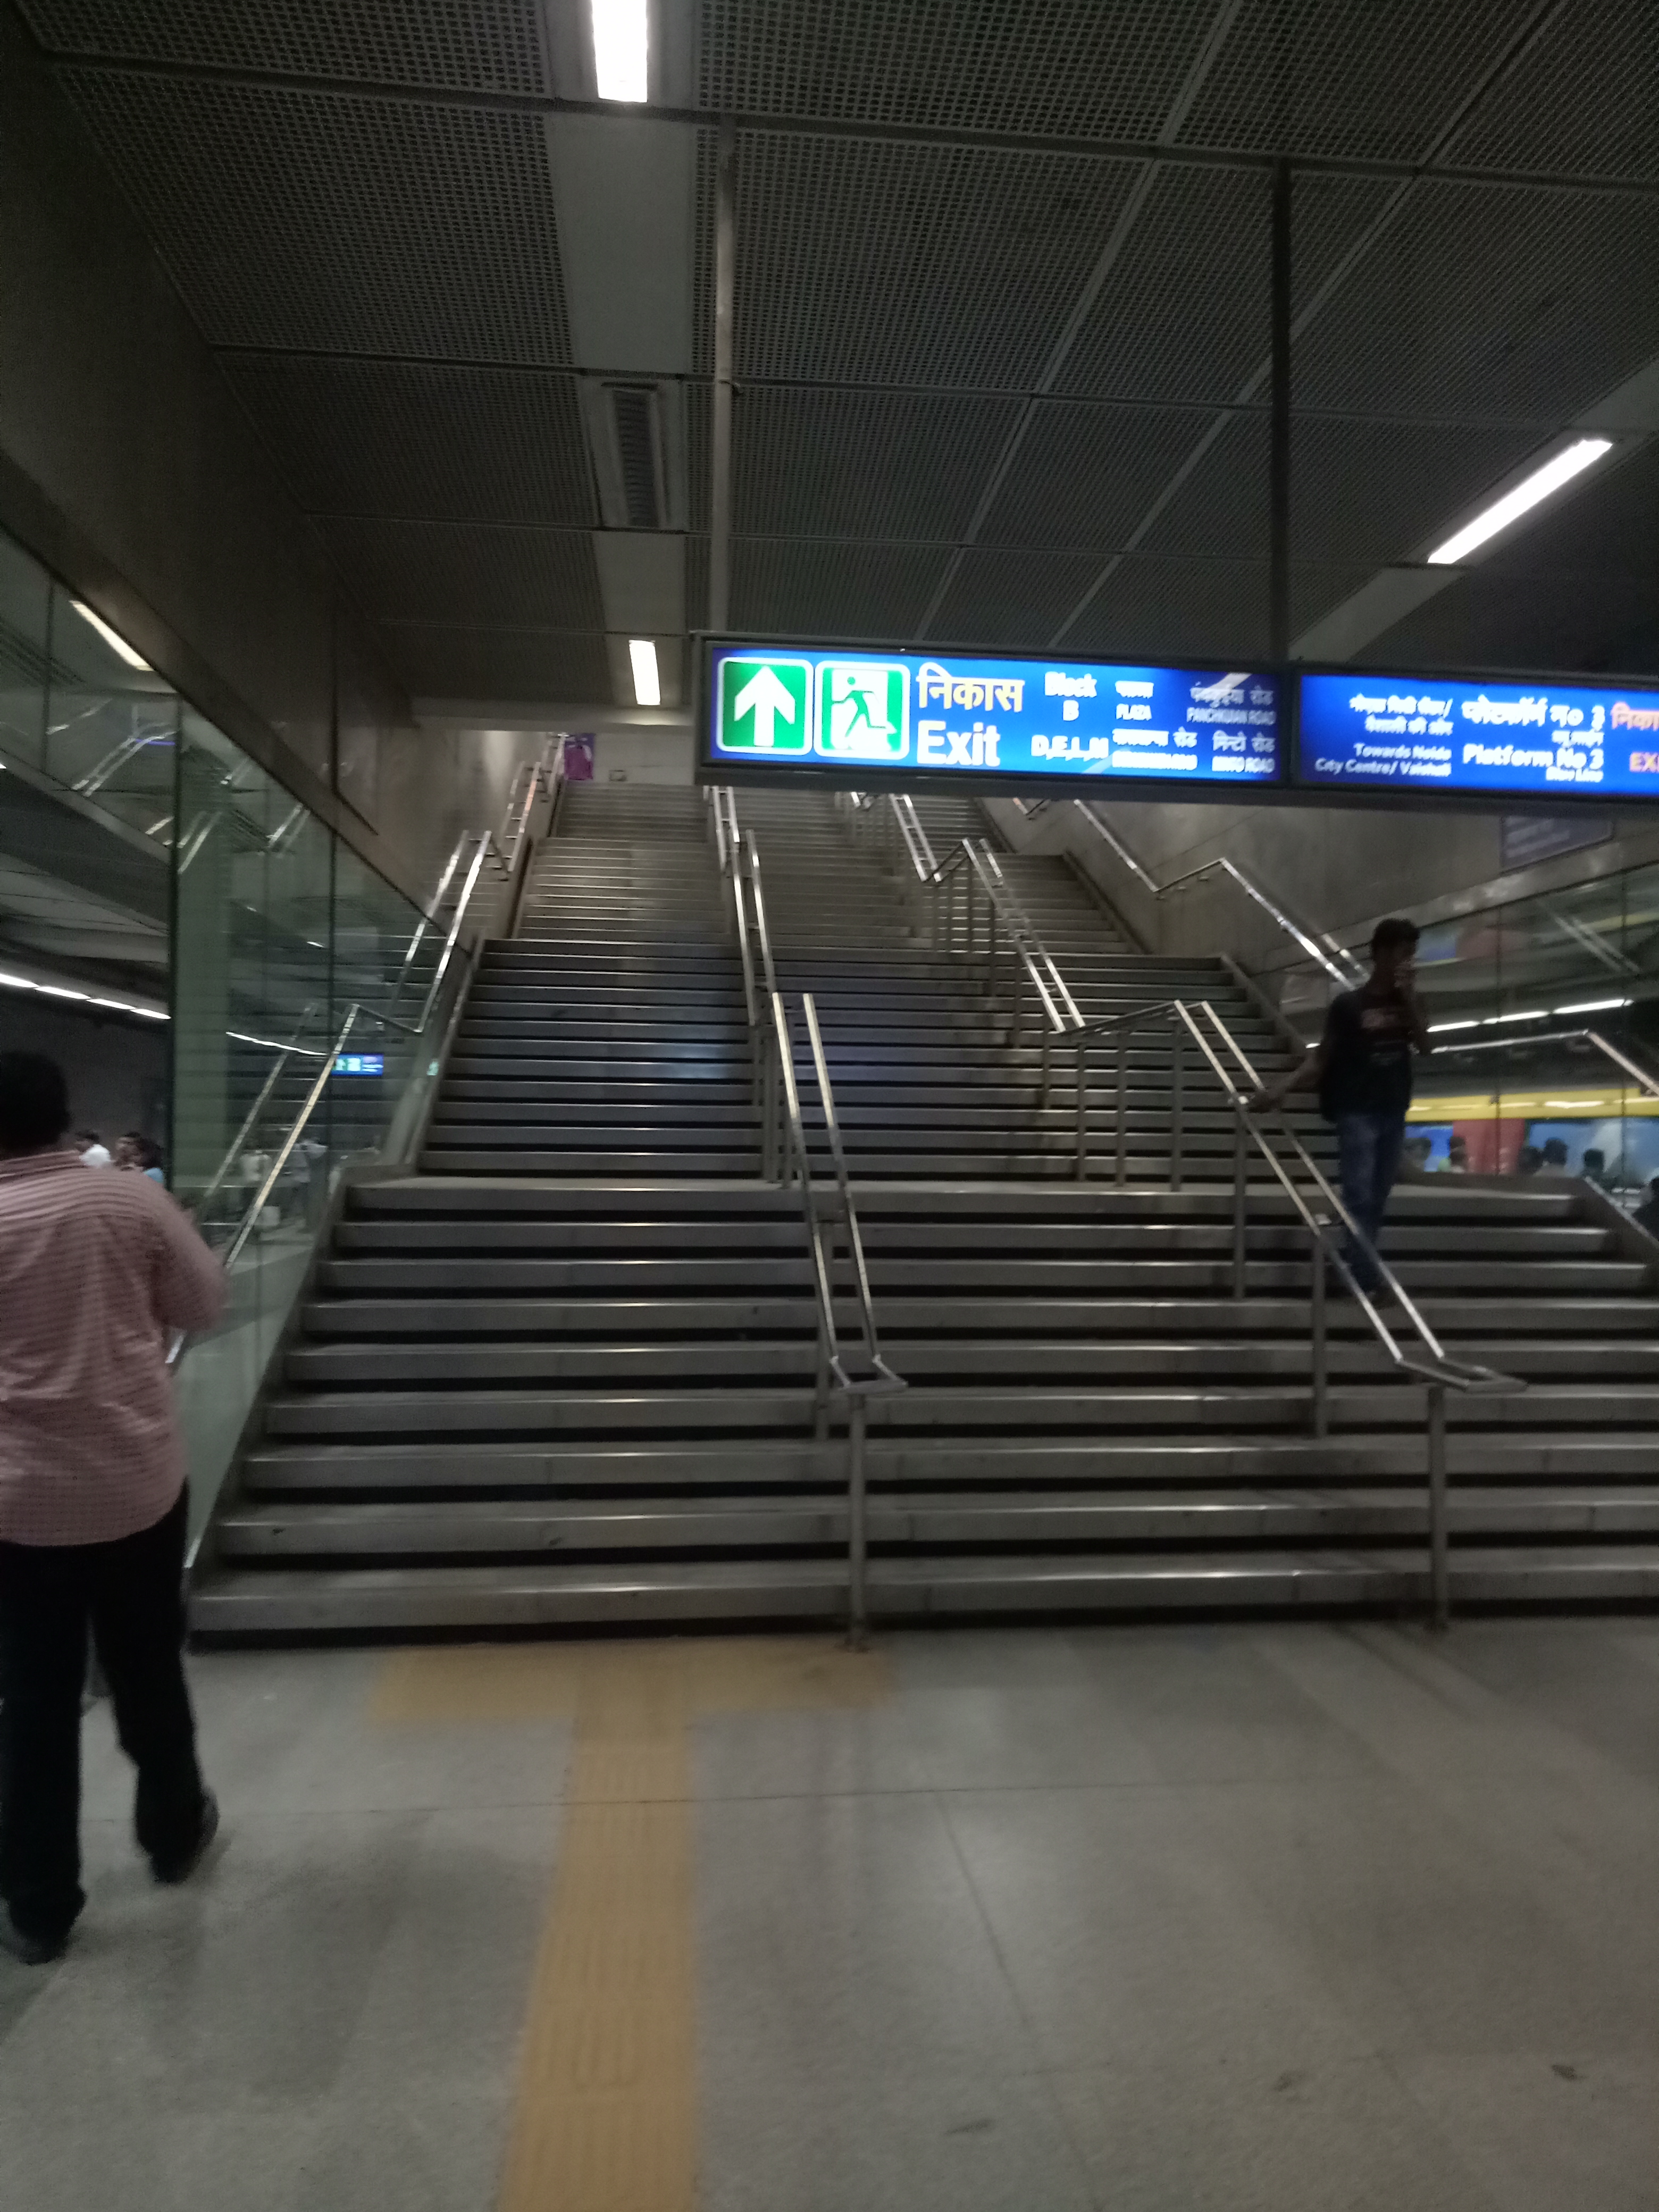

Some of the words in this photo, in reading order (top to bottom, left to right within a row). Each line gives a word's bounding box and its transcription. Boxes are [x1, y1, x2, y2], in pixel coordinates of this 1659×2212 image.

[908, 659, 1029, 718] निकास
[1038, 667, 1101, 702] Block
[1184, 678, 1248, 711] पंचकुईया
[1182, 702, 1250, 728] PANCHKUAN
[1244, 677, 1277, 706] रोड
[1243, 707, 1281, 728] ROAD
[1456, 688, 1554, 728] प्लेटफॉर्म
[1546, 699, 1589, 729] नo
[914, 717, 1003, 767] Exit
[1026, 730, 1110, 764] DELM
[1206, 725, 1249, 753] मिन्टो
[1247, 728, 1279, 756] रोड
[1460, 739, 1555, 769] Platform
[1553, 744, 1606, 770] No3